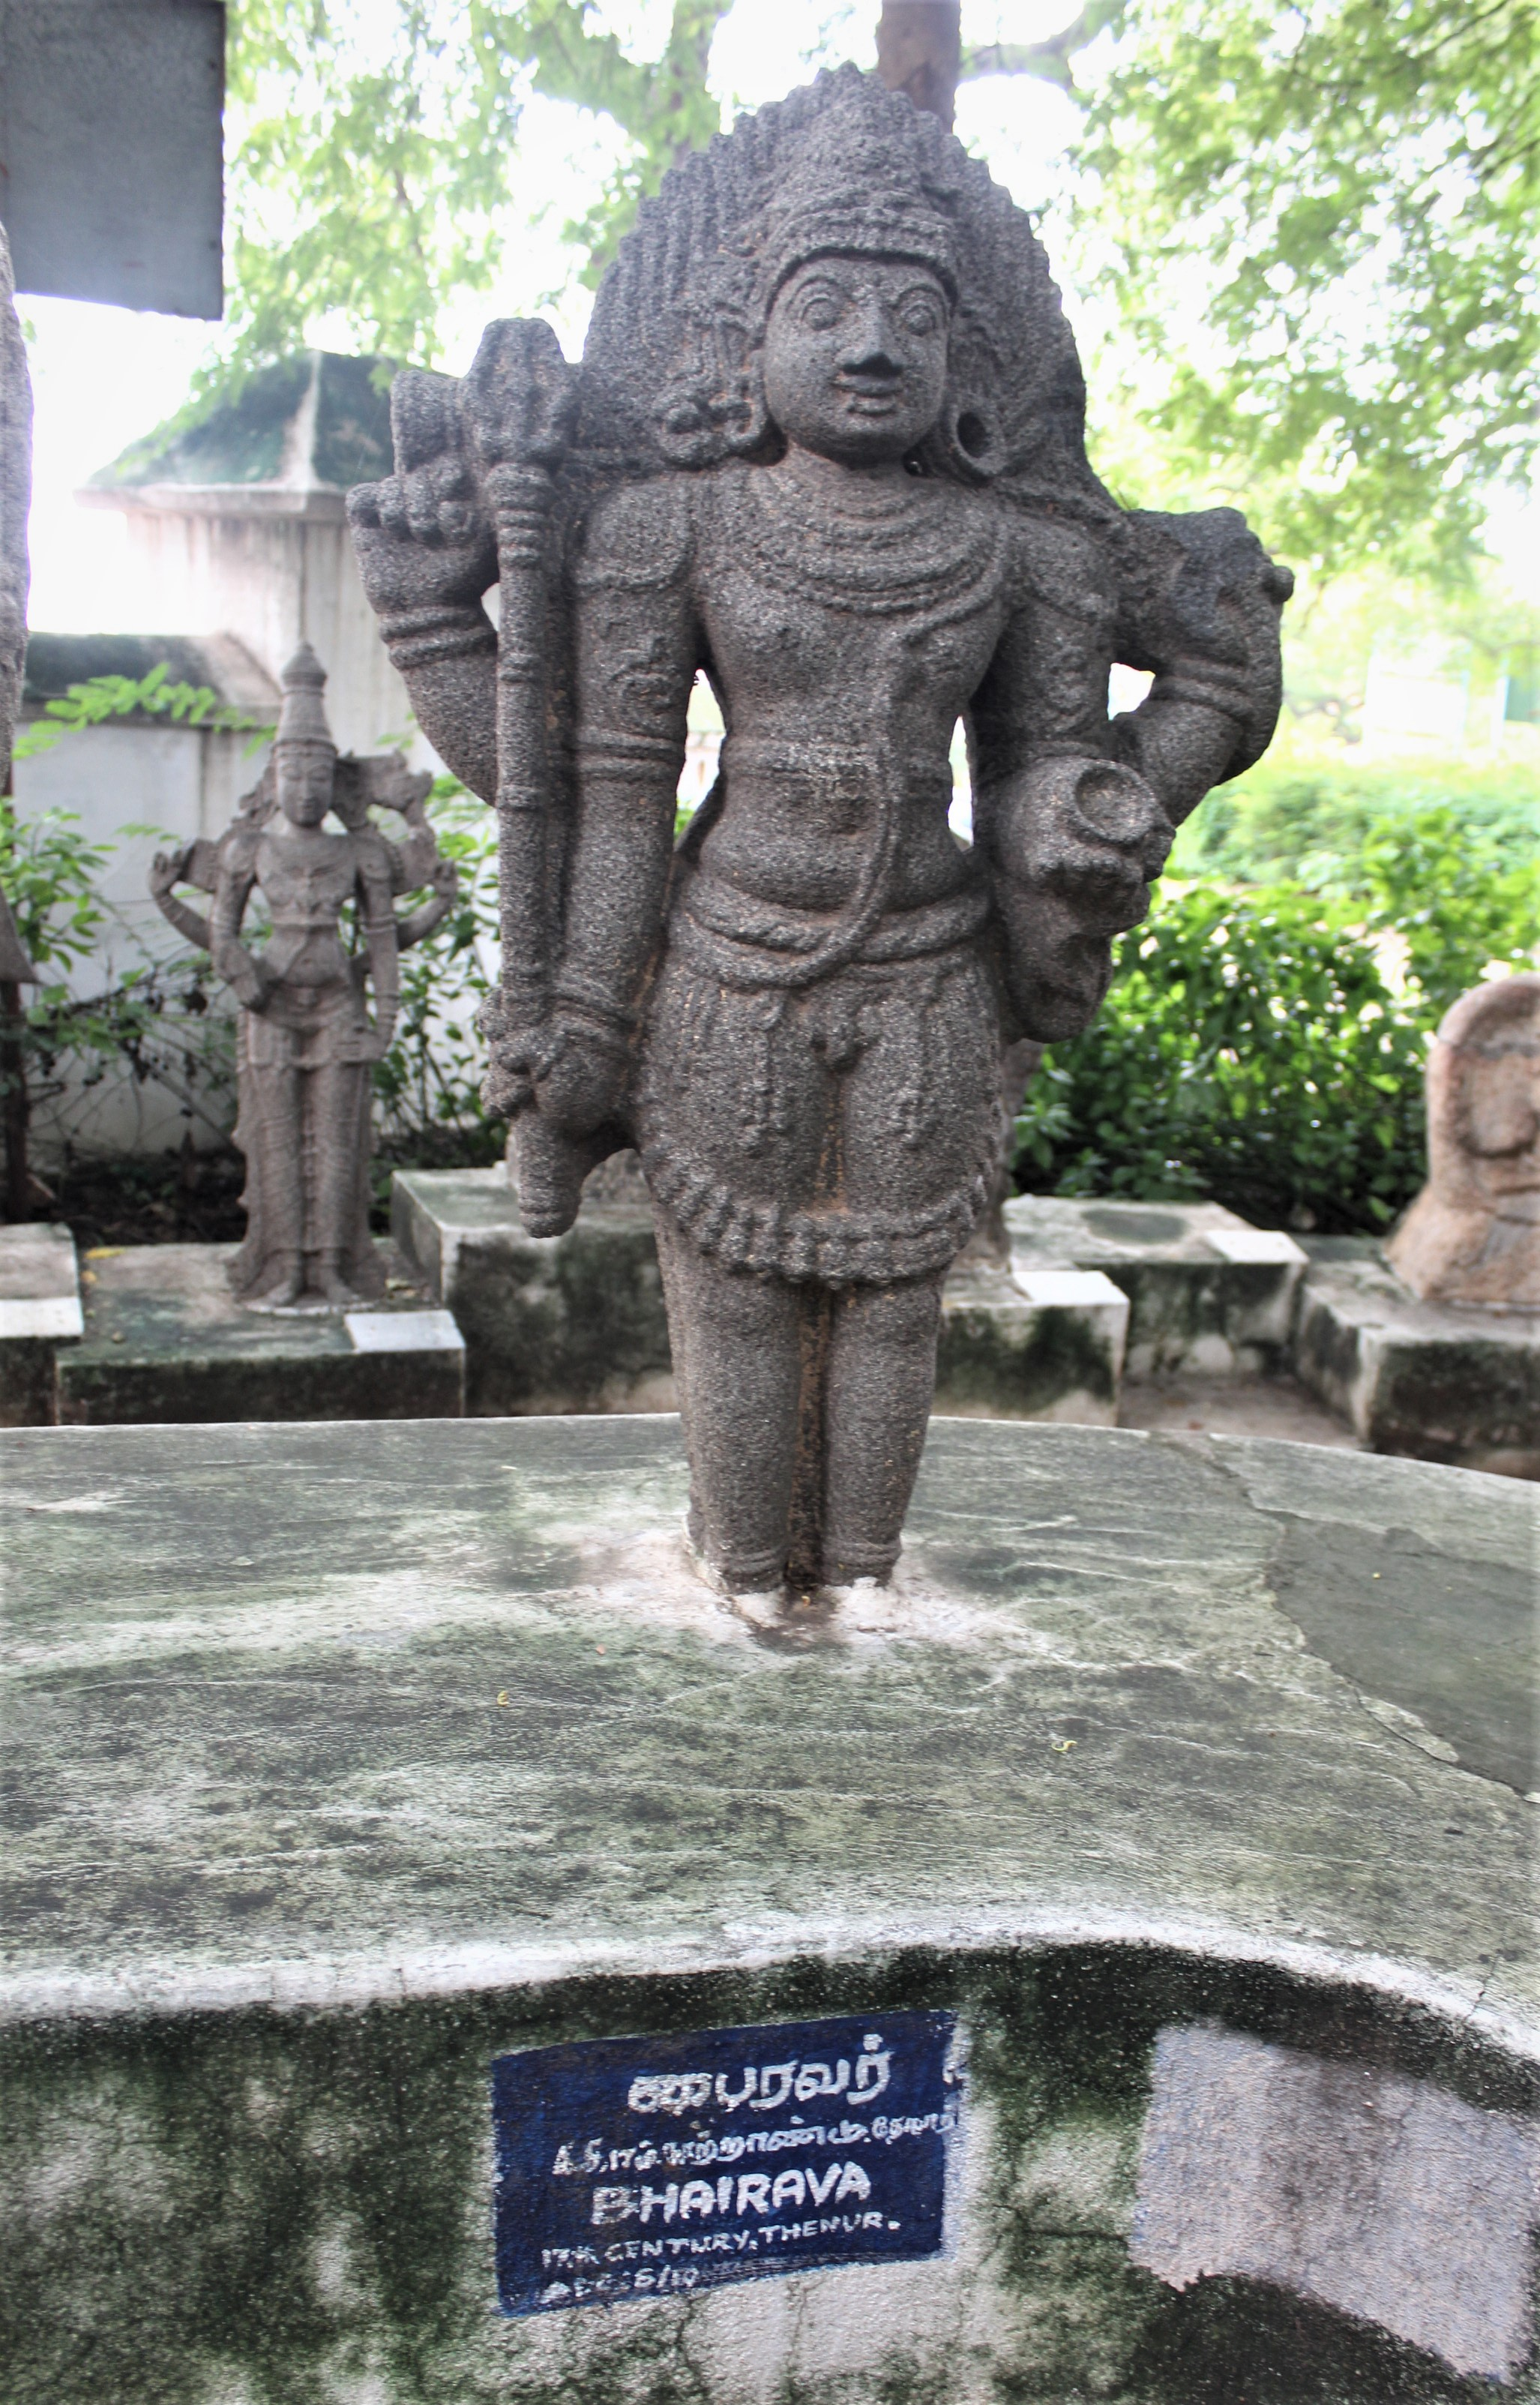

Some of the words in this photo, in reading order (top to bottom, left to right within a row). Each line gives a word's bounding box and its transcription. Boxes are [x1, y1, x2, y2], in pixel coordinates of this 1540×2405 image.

[619, 2027, 897, 2120] பைரவர்
[535, 2229, 752, 2277] 17th CENTURY
[587, 2153, 877, 2230] BHAIRAVA
[753, 2206, 887, 2251] THENUR